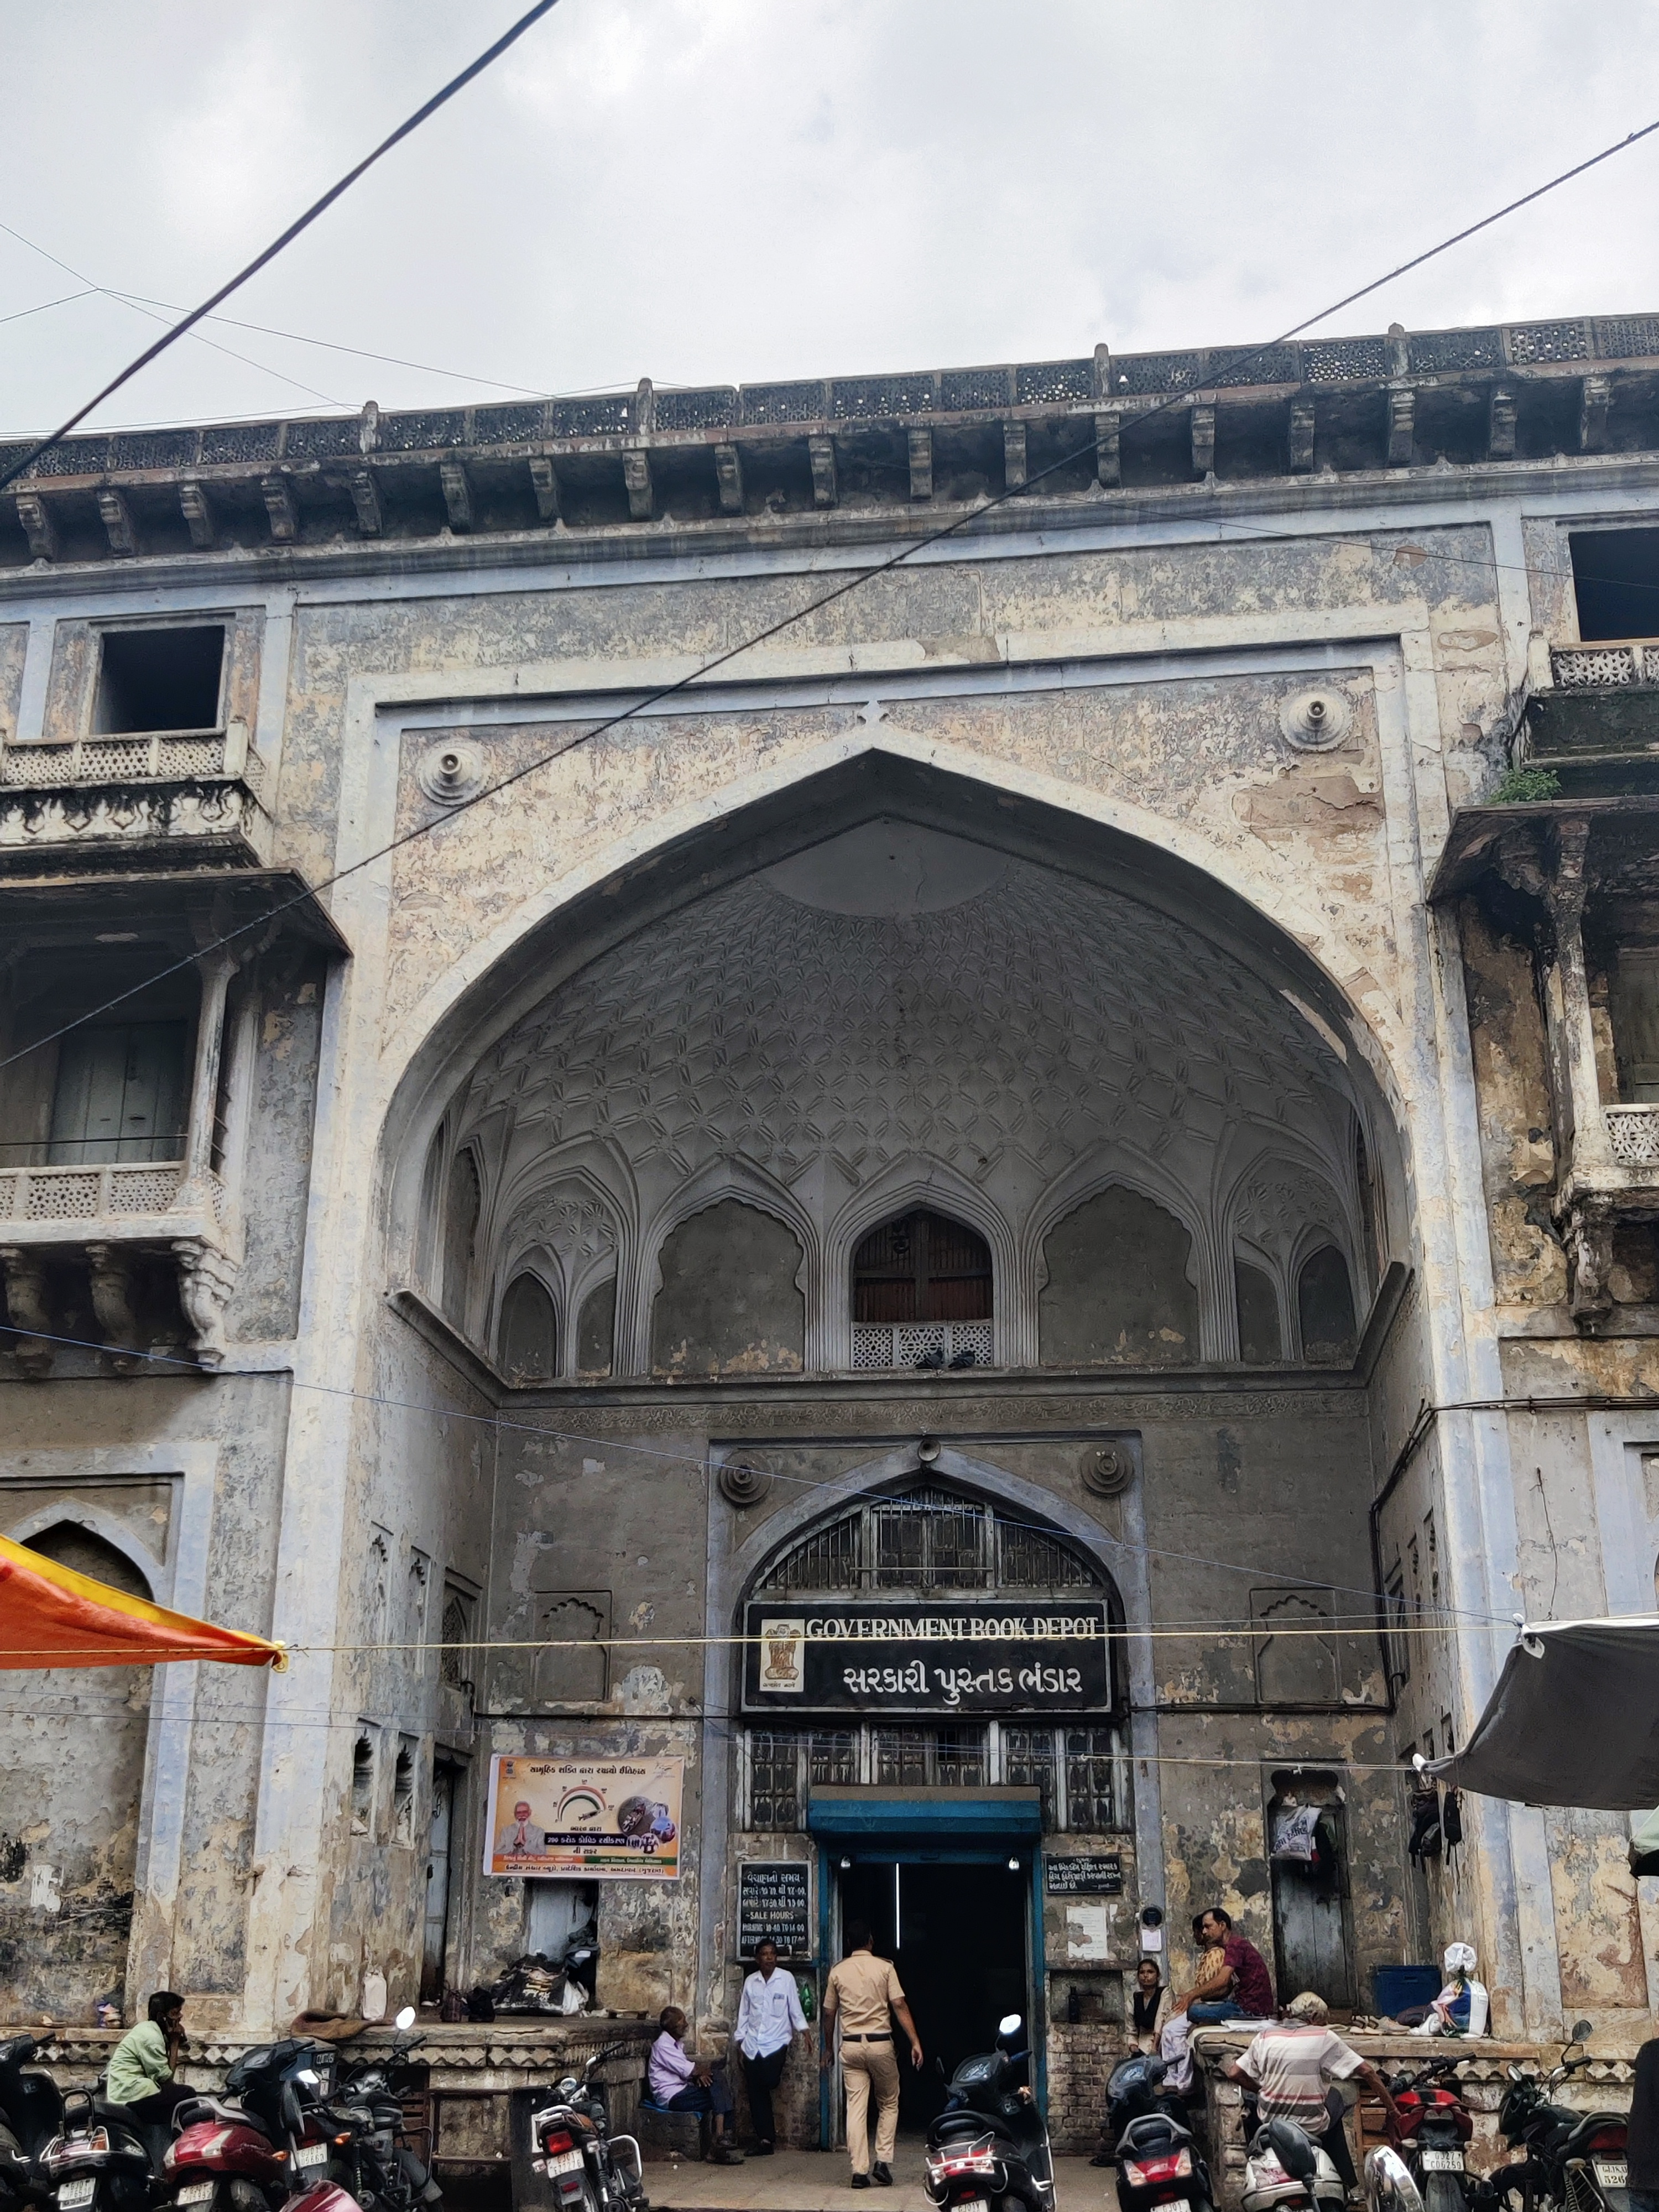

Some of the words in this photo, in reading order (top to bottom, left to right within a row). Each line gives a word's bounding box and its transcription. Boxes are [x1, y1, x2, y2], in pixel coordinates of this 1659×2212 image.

[802, 1613, 968, 1640] GOVERNMENT
[967, 1614, 1030, 1641] BOOK
[1029, 1613, 1099, 1641] DEPOT
[838, 1657, 935, 1700] સરકારી
[930, 1665, 1015, 1708] ૫ુસ્તક
[1016, 1659, 1087, 1694] ભંડાર